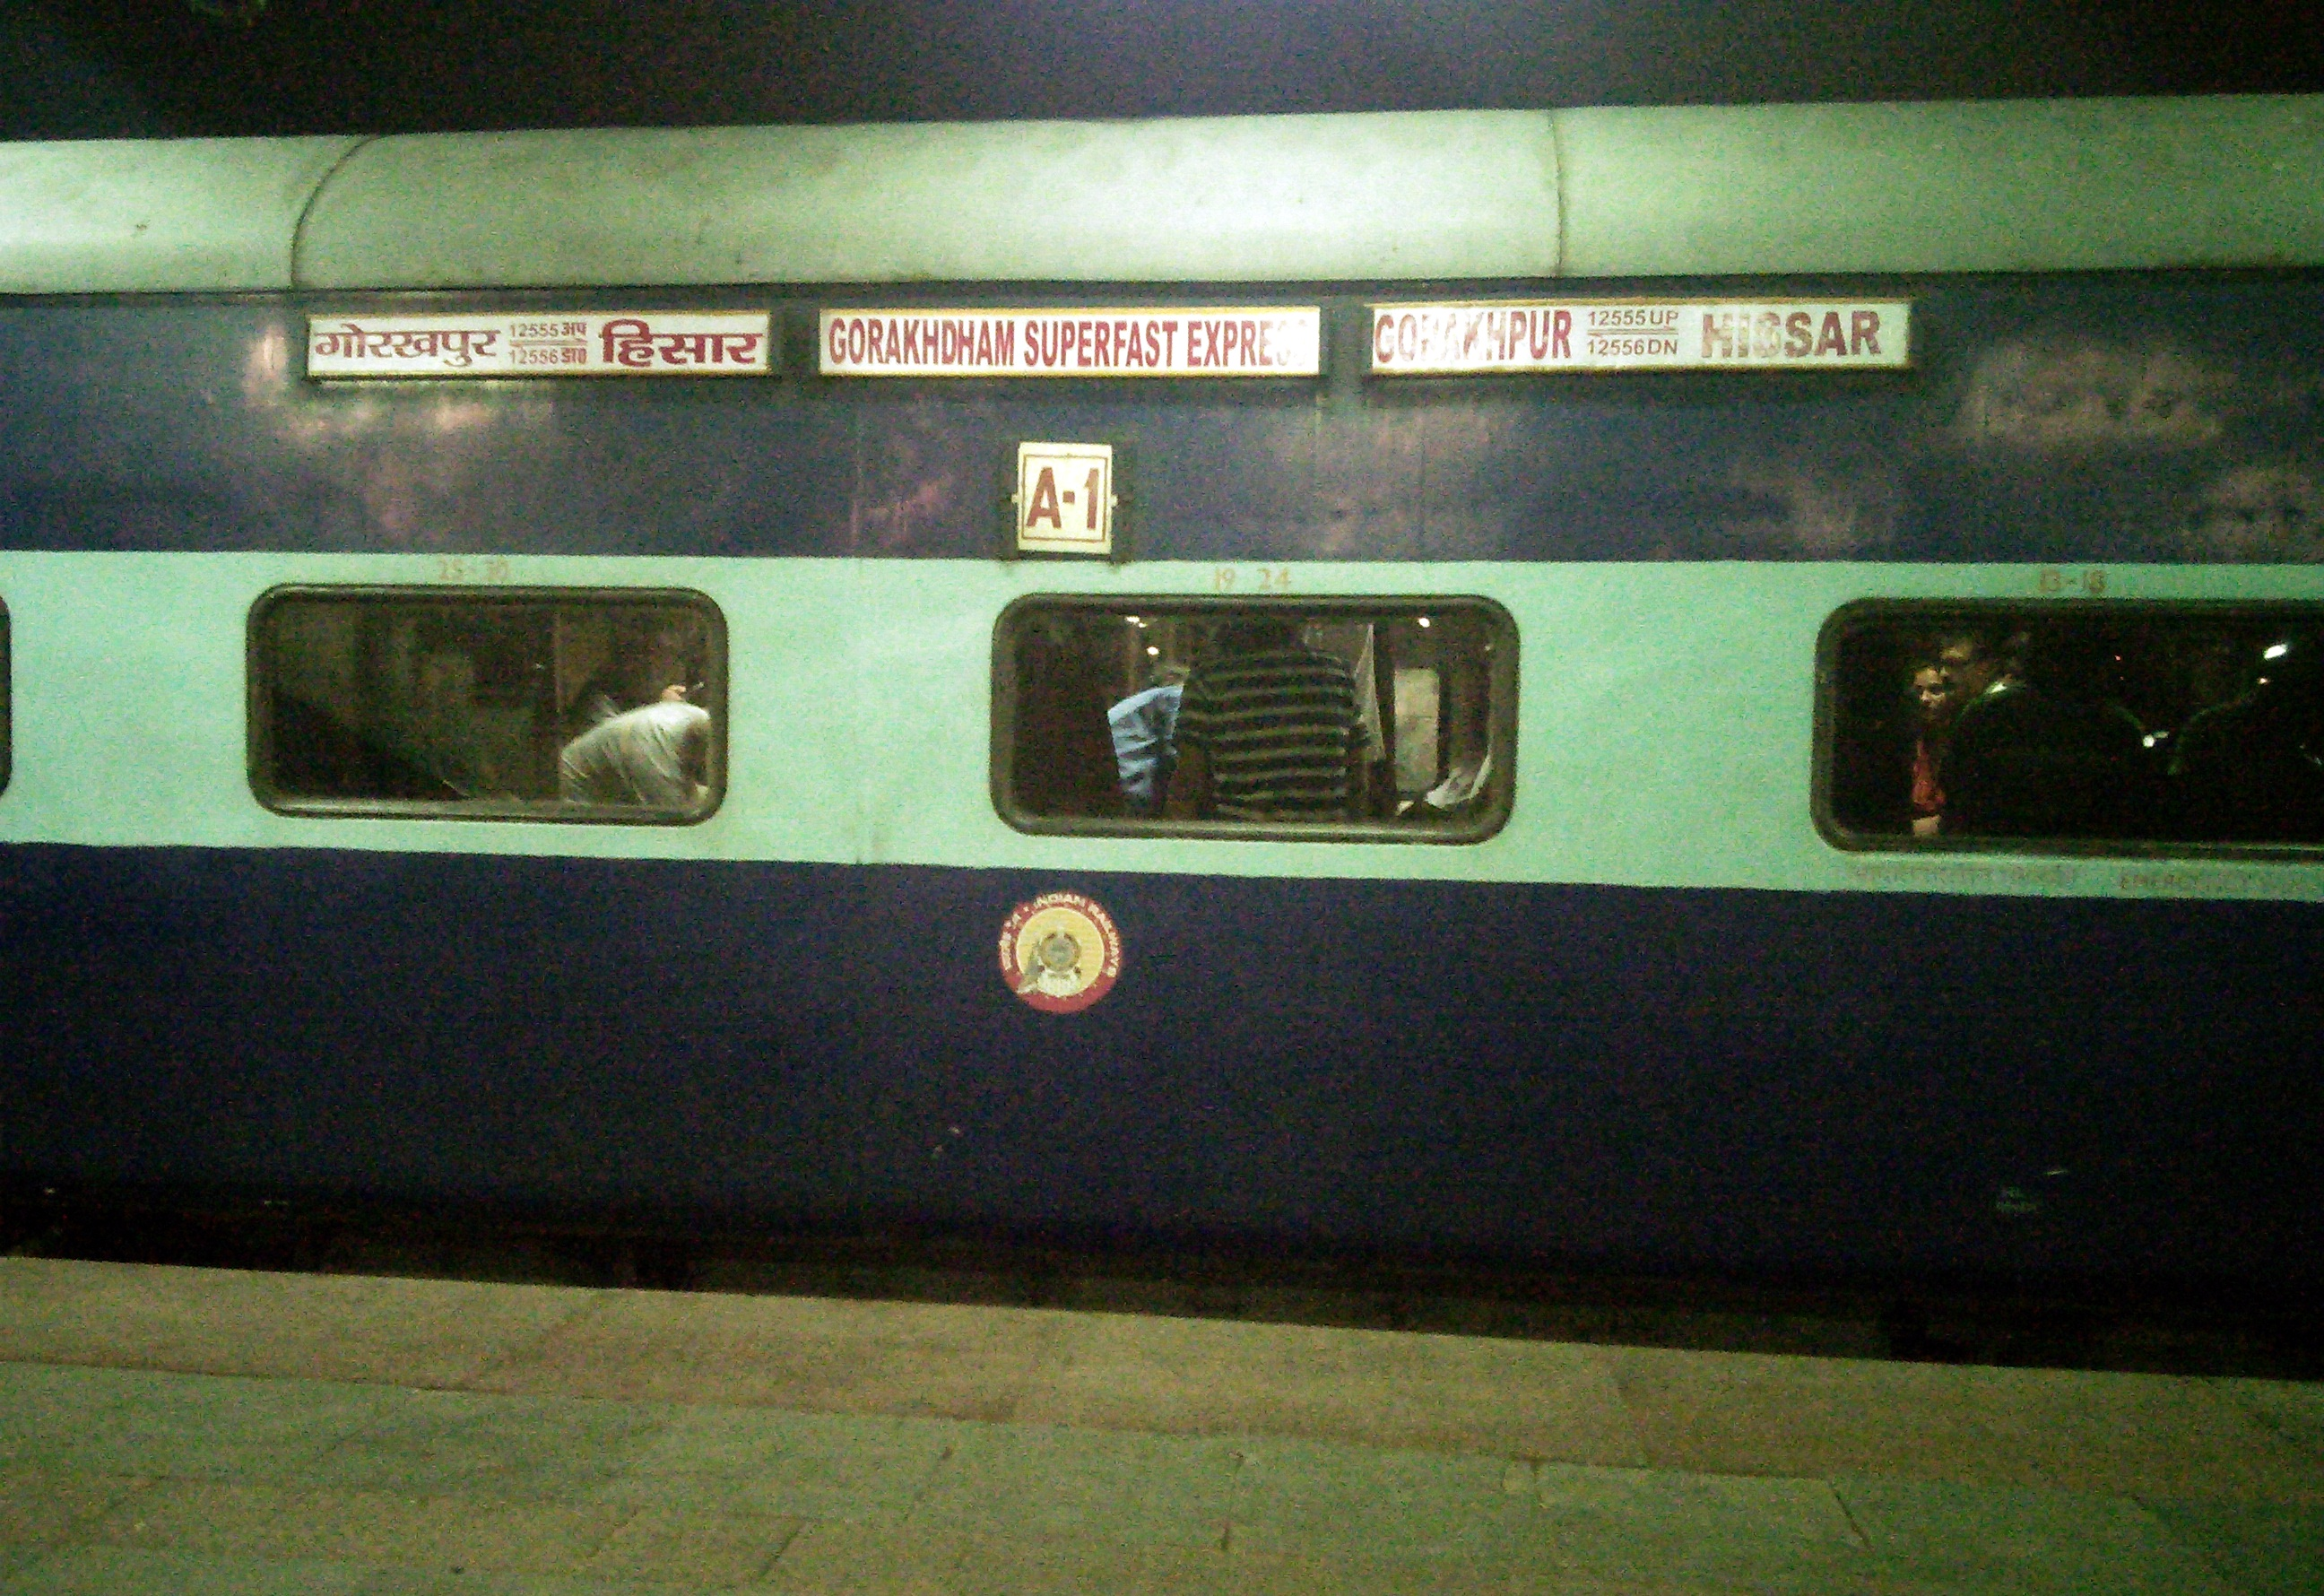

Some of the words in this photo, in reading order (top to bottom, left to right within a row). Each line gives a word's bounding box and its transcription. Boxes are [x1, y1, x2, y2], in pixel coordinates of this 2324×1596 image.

[312, 318, 499, 372] गोरखपुर
[509, 319, 560, 342] 12555
[507, 344, 562, 369] 12556
[559, 317, 591, 341] अप
[559, 344, 592, 369] डा०
[593, 314, 765, 370] हिसार
[828, 313, 1019, 369] GORAKHDHAM
[1021, 317, 1184, 369] SUPERFAST
[1184, 317, 1312, 371] EXPRESS
[1367, 308, 1575, 369] GORAKHPUR
[1584, 300, 1647, 333] 12555
[1585, 335, 1649, 360] 12556
[1643, 336, 1679, 360] DN
[1645, 306, 1683, 329] UP
[1701, 308, 1885, 360] HISSAR
[1010, 457, 1108, 542] A-1